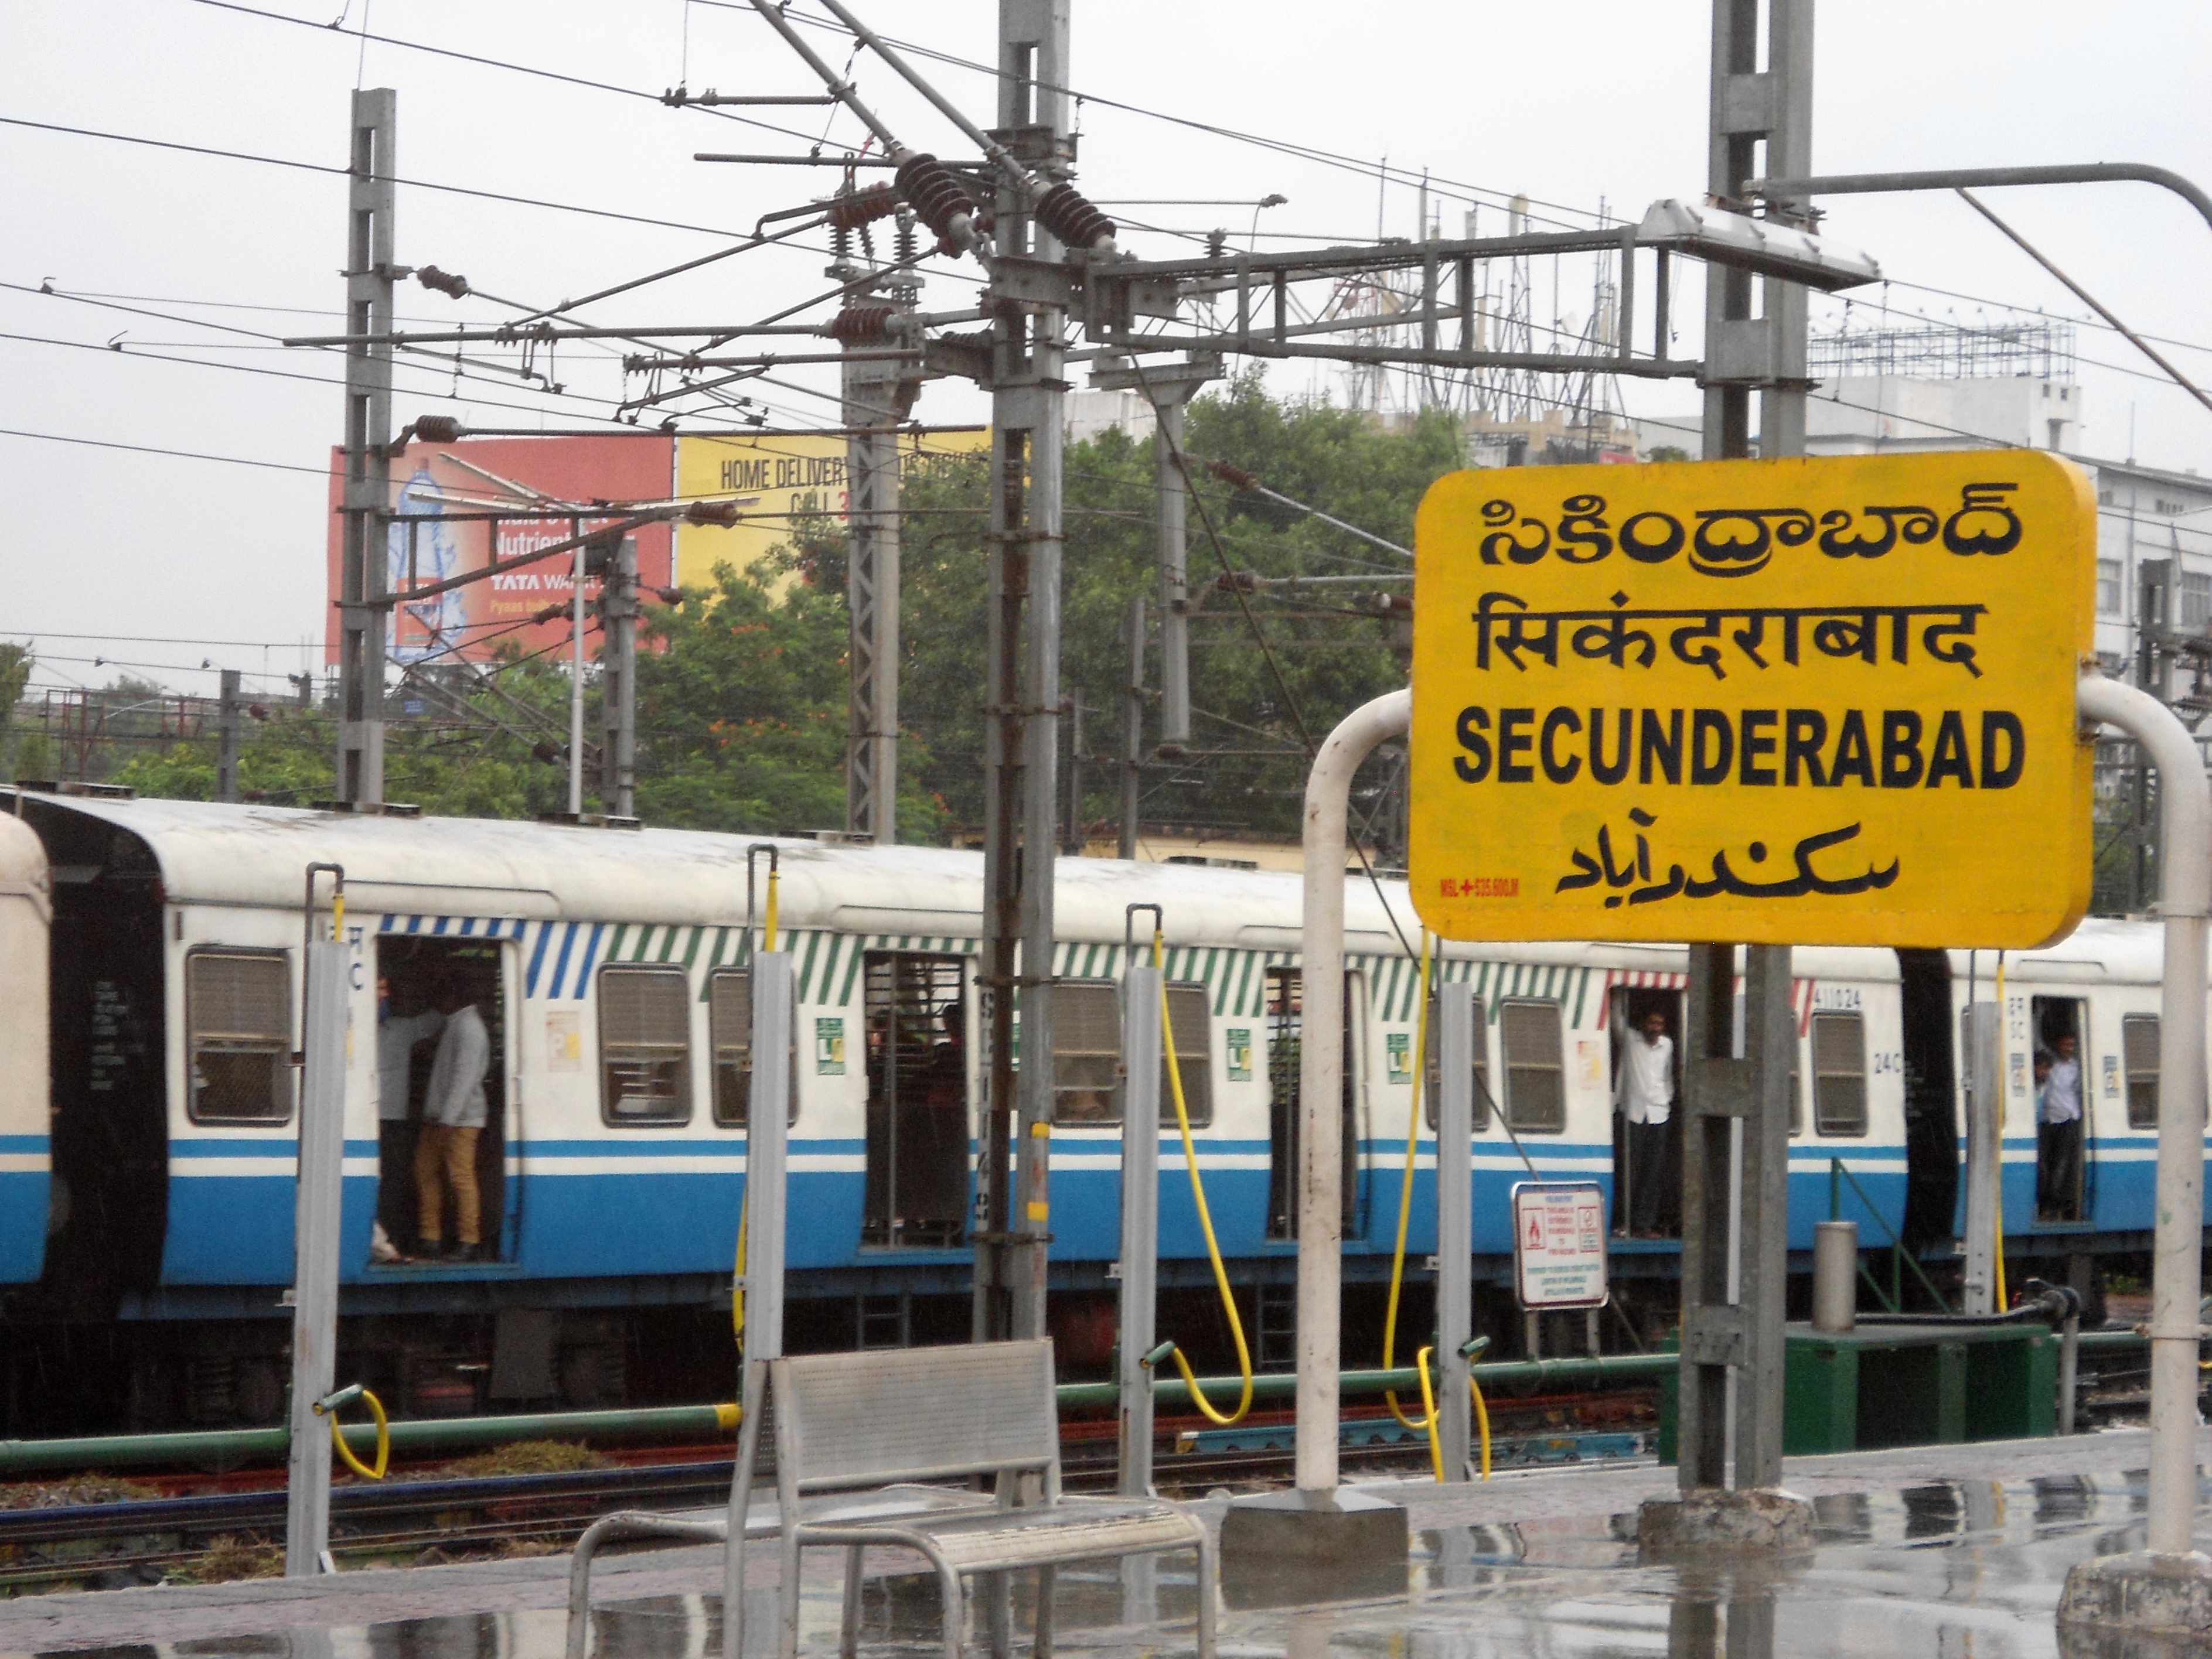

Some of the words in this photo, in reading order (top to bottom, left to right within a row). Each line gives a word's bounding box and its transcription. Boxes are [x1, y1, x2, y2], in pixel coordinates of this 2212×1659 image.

[718, 456, 773, 491] HOME
[775, 455, 847, 490] DELIVER
[1454, 477, 2030, 585] సికింద్రాబాద్
[1454, 576, 1990, 683] सिकंदराबाद
[1448, 696, 2037, 798] SECUNDERABAD